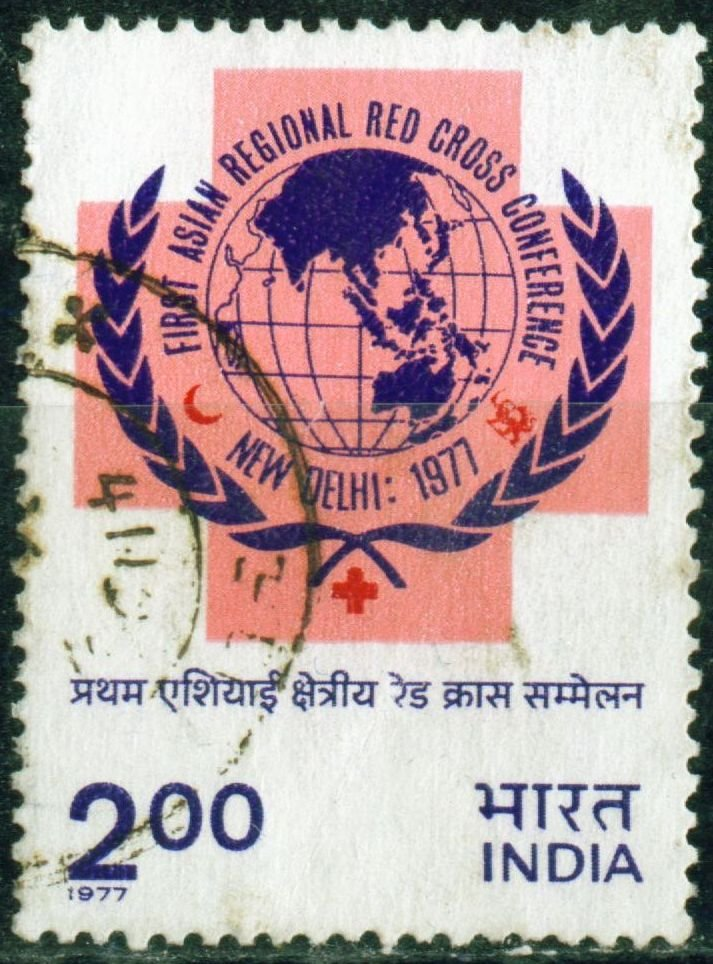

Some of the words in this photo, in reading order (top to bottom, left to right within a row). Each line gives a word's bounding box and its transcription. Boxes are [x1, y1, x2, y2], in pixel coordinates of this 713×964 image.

[210, 95, 356, 191] REGIONAL
[357, 89, 427, 153] RED
[426, 117, 517, 193] CROSS
[163, 175, 235, 266] ASIAN
[493, 186, 569, 373] CONFERENCE
[153, 267, 207, 359] FIRST
[221, 428, 298, 494] NEW
[298, 461, 388, 517] DELHI
[403, 434, 487, 508] 1977
[66, 675, 151, 710] प्रथम
[155, 657, 286, 719] एशियाई
[288, 666, 377, 716] क्षेत्रीय
[381, 664, 434, 713] रेड
[440, 675, 516, 716] क्रास
[519, 671, 644, 717] सम्मेलन
[59, 770, 266, 888] 200
[471, 778, 644, 838] भा‍रत
[66, 883, 125, 906] 1977
[478, 839, 650, 889] INDIA